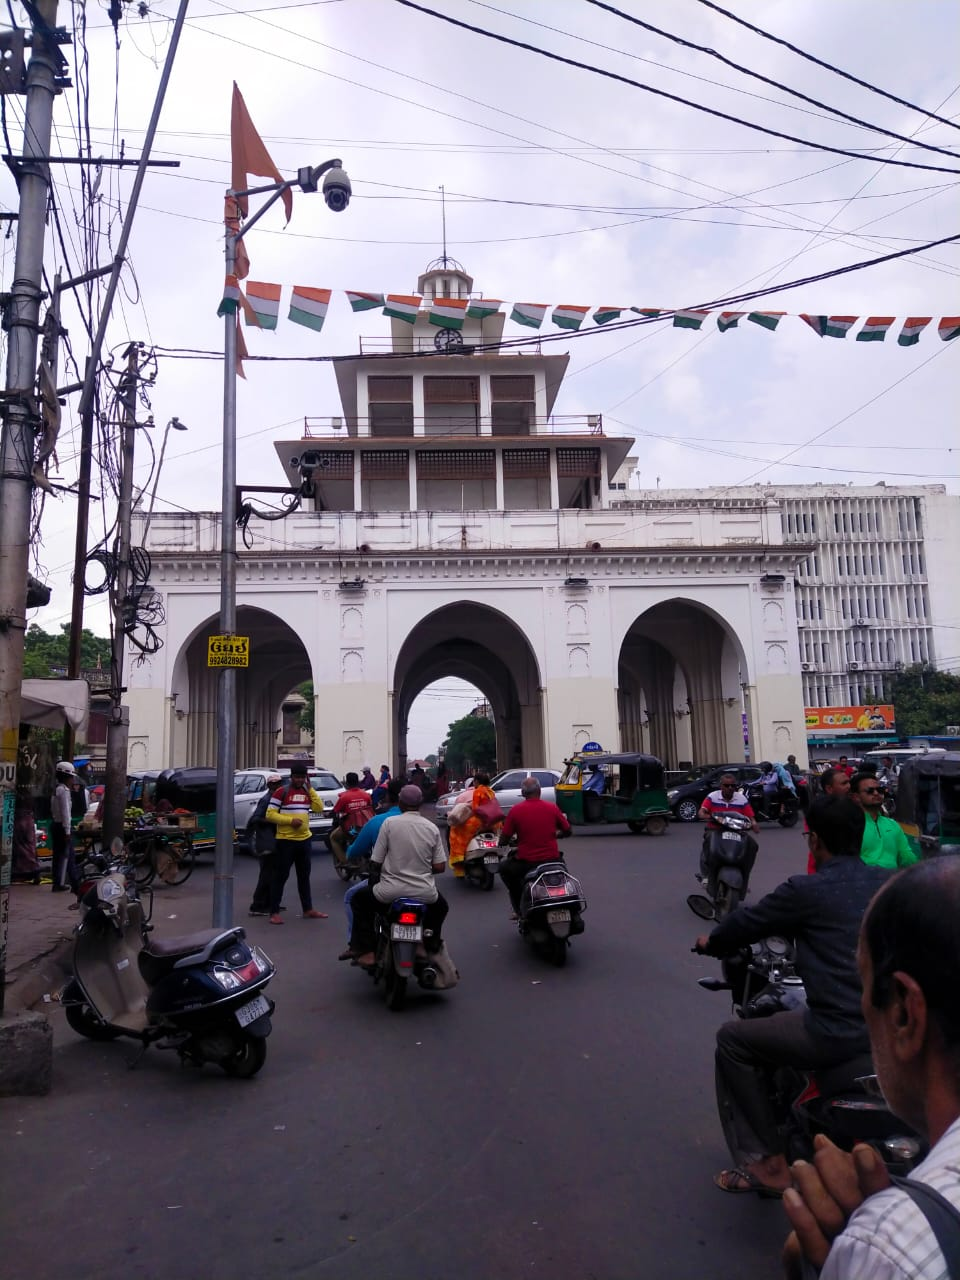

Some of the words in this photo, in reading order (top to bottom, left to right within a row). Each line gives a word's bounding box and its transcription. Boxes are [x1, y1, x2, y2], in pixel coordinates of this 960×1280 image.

[209, 638, 247, 654] ઉધઇ